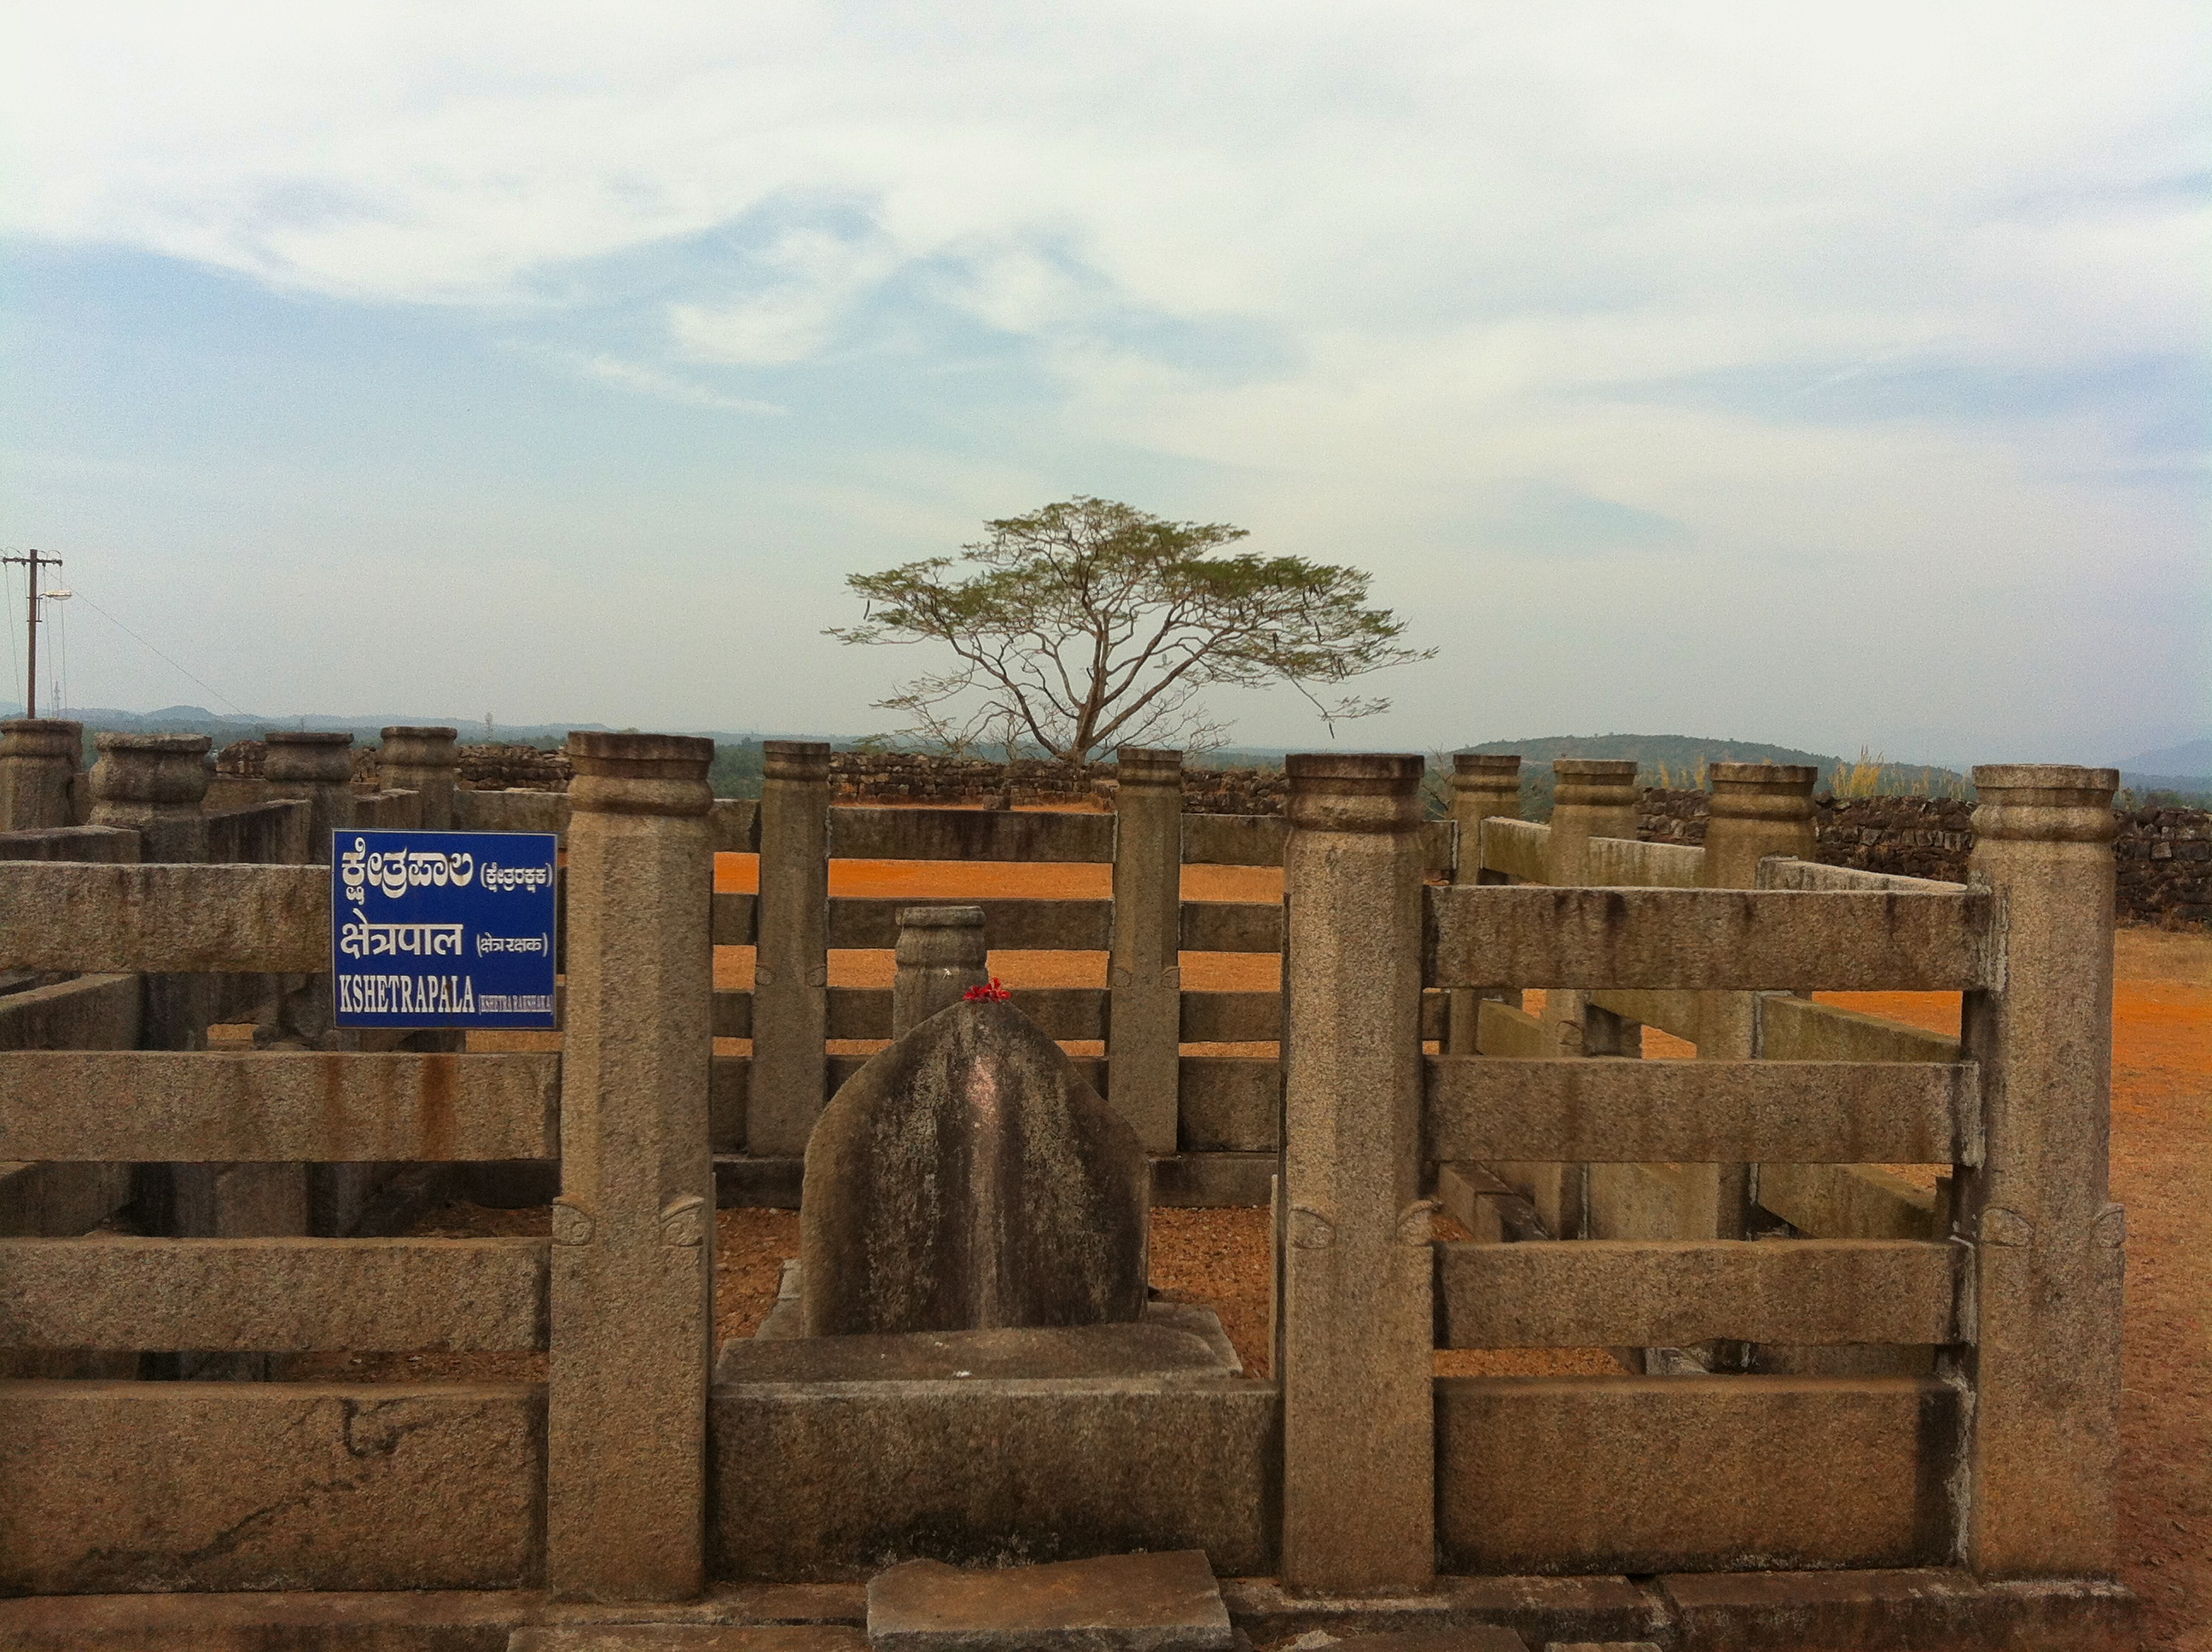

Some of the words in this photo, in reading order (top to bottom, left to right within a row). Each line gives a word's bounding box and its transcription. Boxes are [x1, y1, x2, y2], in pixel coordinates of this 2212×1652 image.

[336, 825, 475, 908] ಕ್ಷೇತ್ರಪಾಲ
[480, 853, 550, 897] (ಕ್ಷೇತ್ರರಕ್ಷಕ)
[336, 895, 468, 963] क्षेत्रपाल
[473, 929, 553, 961] (क्षेत्ररक्षक)
[336, 969, 480, 1018] KSHETRAPALA
[478, 987, 556, 1018] (KSHETRA RAKSHAKA)